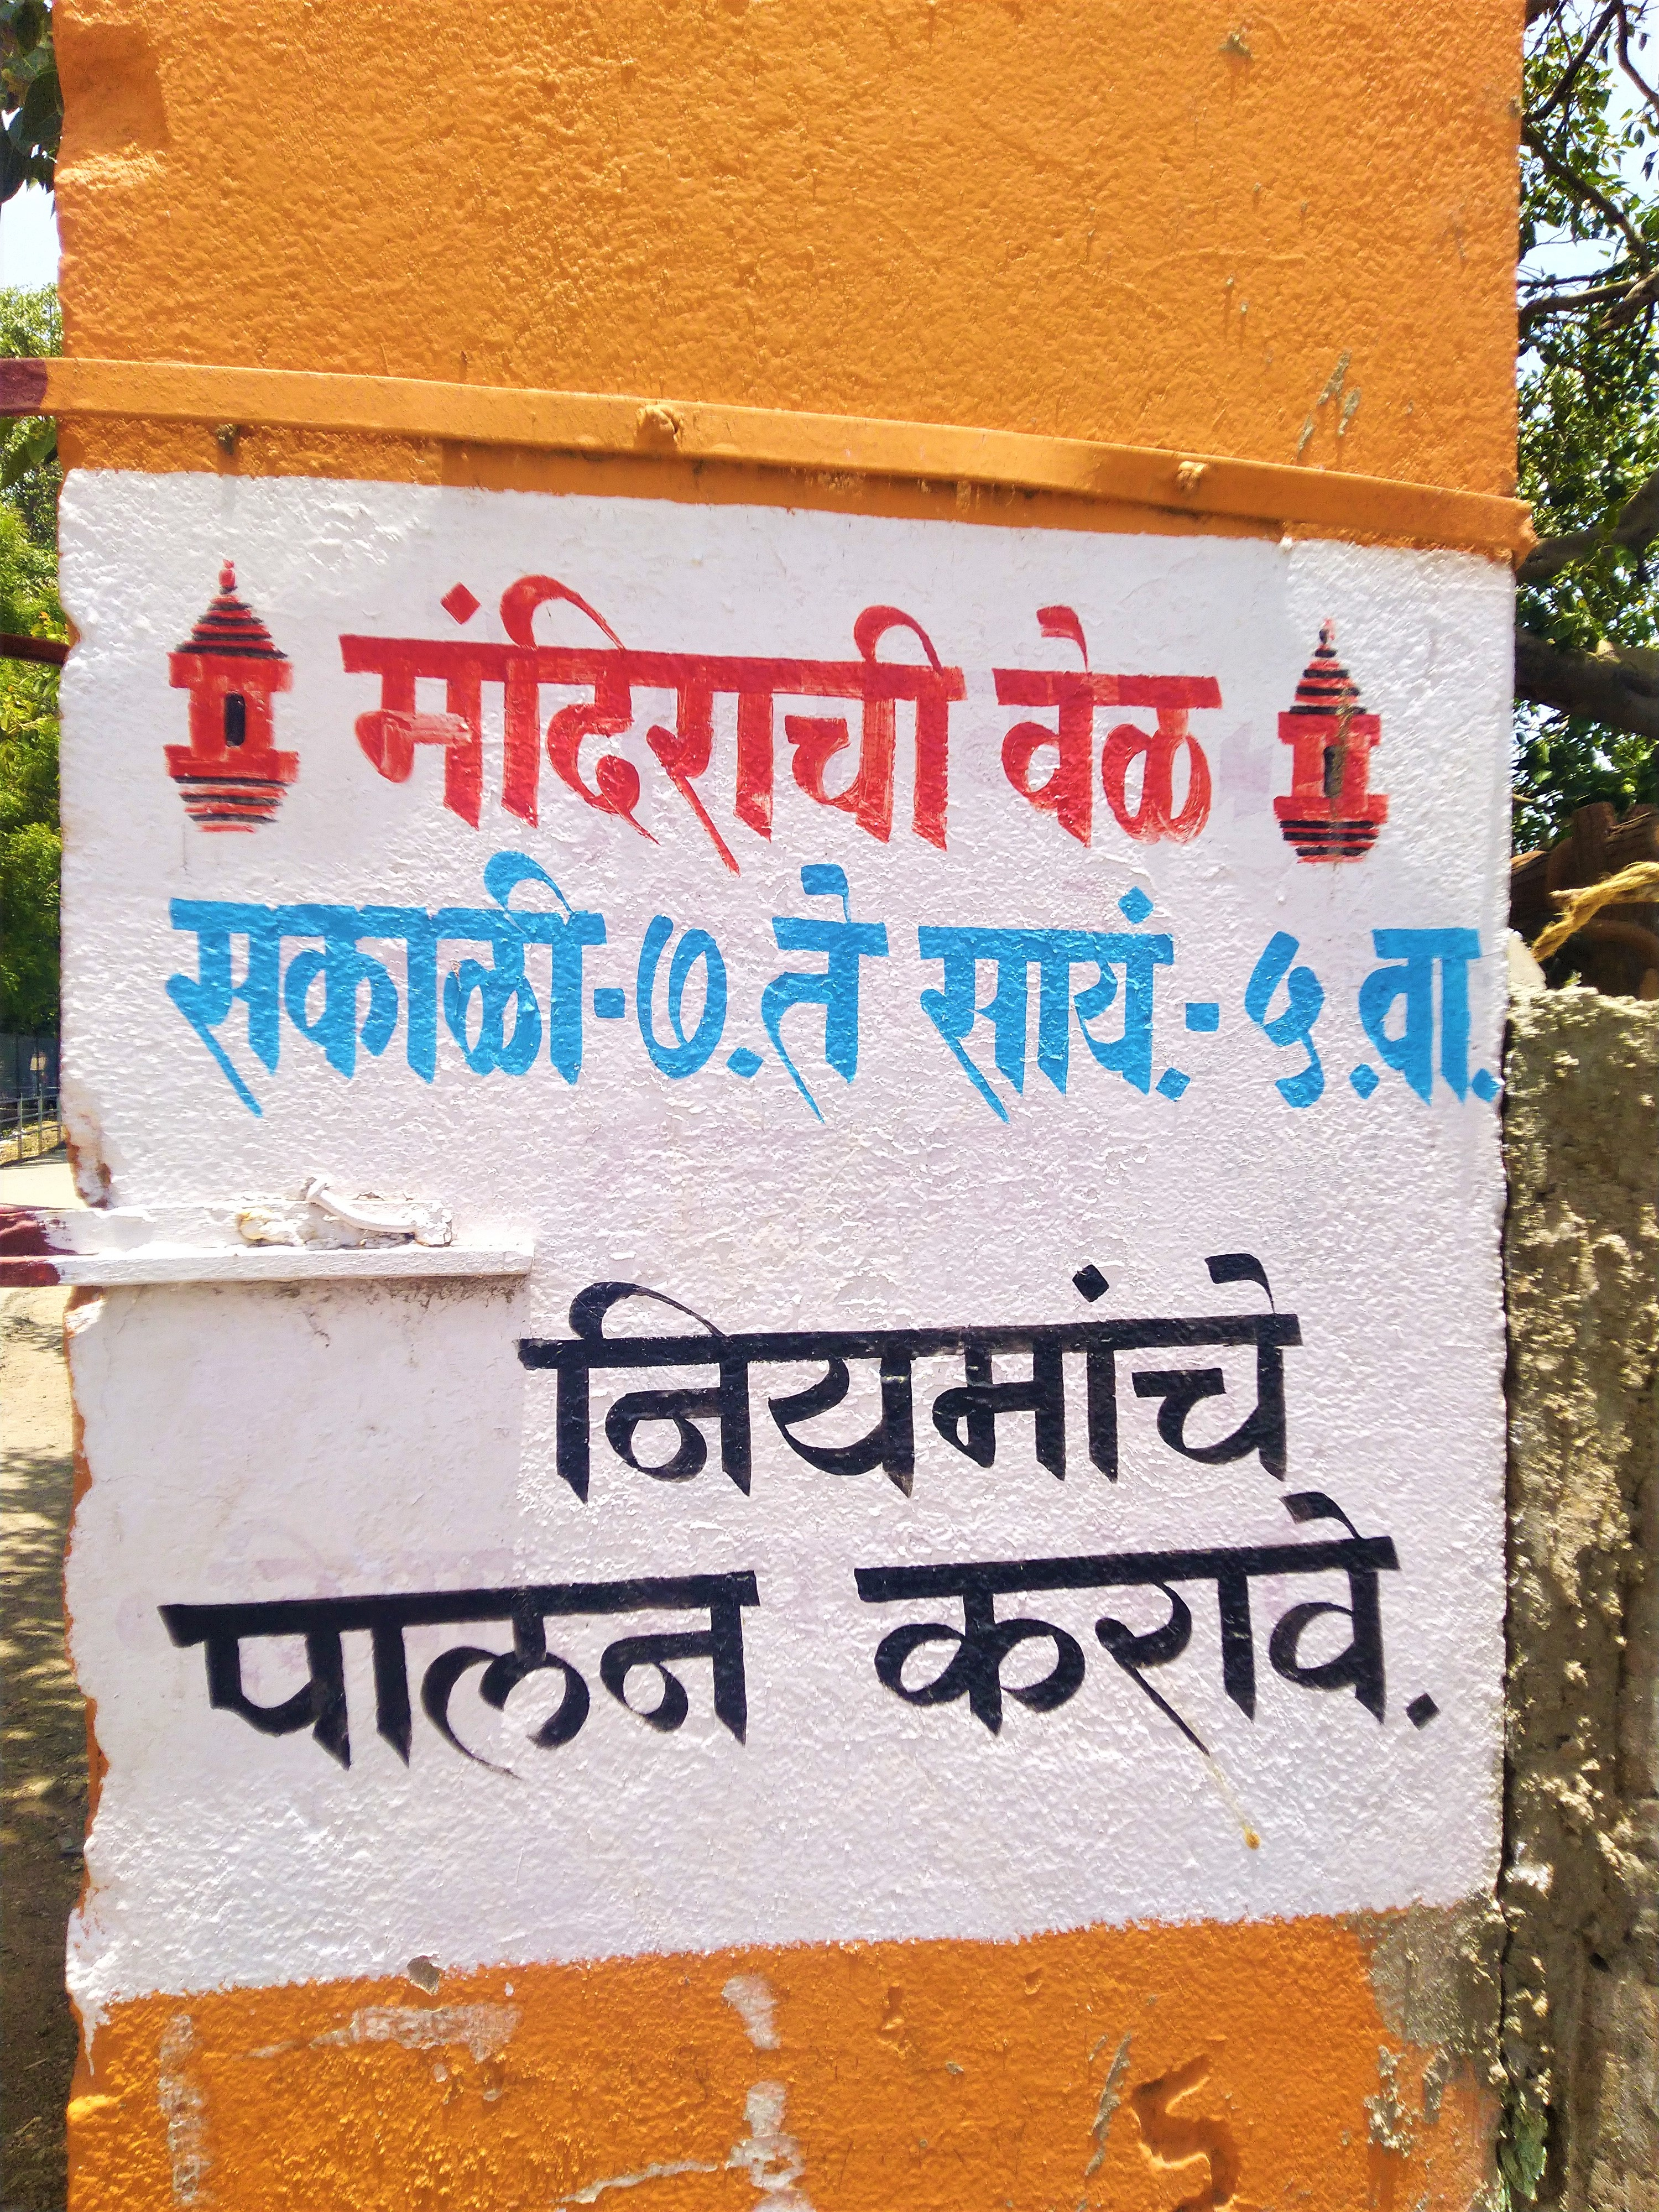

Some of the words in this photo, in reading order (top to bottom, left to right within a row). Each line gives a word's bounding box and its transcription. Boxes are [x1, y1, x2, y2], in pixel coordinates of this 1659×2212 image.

[320, 560, 978, 887] मंदिराची
[984, 591, 1244, 878] वेळ
[124, 838, 785, 1144] सकाळी-७.
[744, 837, 902, 1137] ते
[905, 880, 1204, 1146] सायं.
[1232, 917, 1387, 1130] ५.
[1346, 907, 1505, 1119] वा.
[502, 1233, 1324, 1526] नियमांचे
[133, 1558, 790, 1807] पालन
[836, 1478, 1458, 1774] करावे.